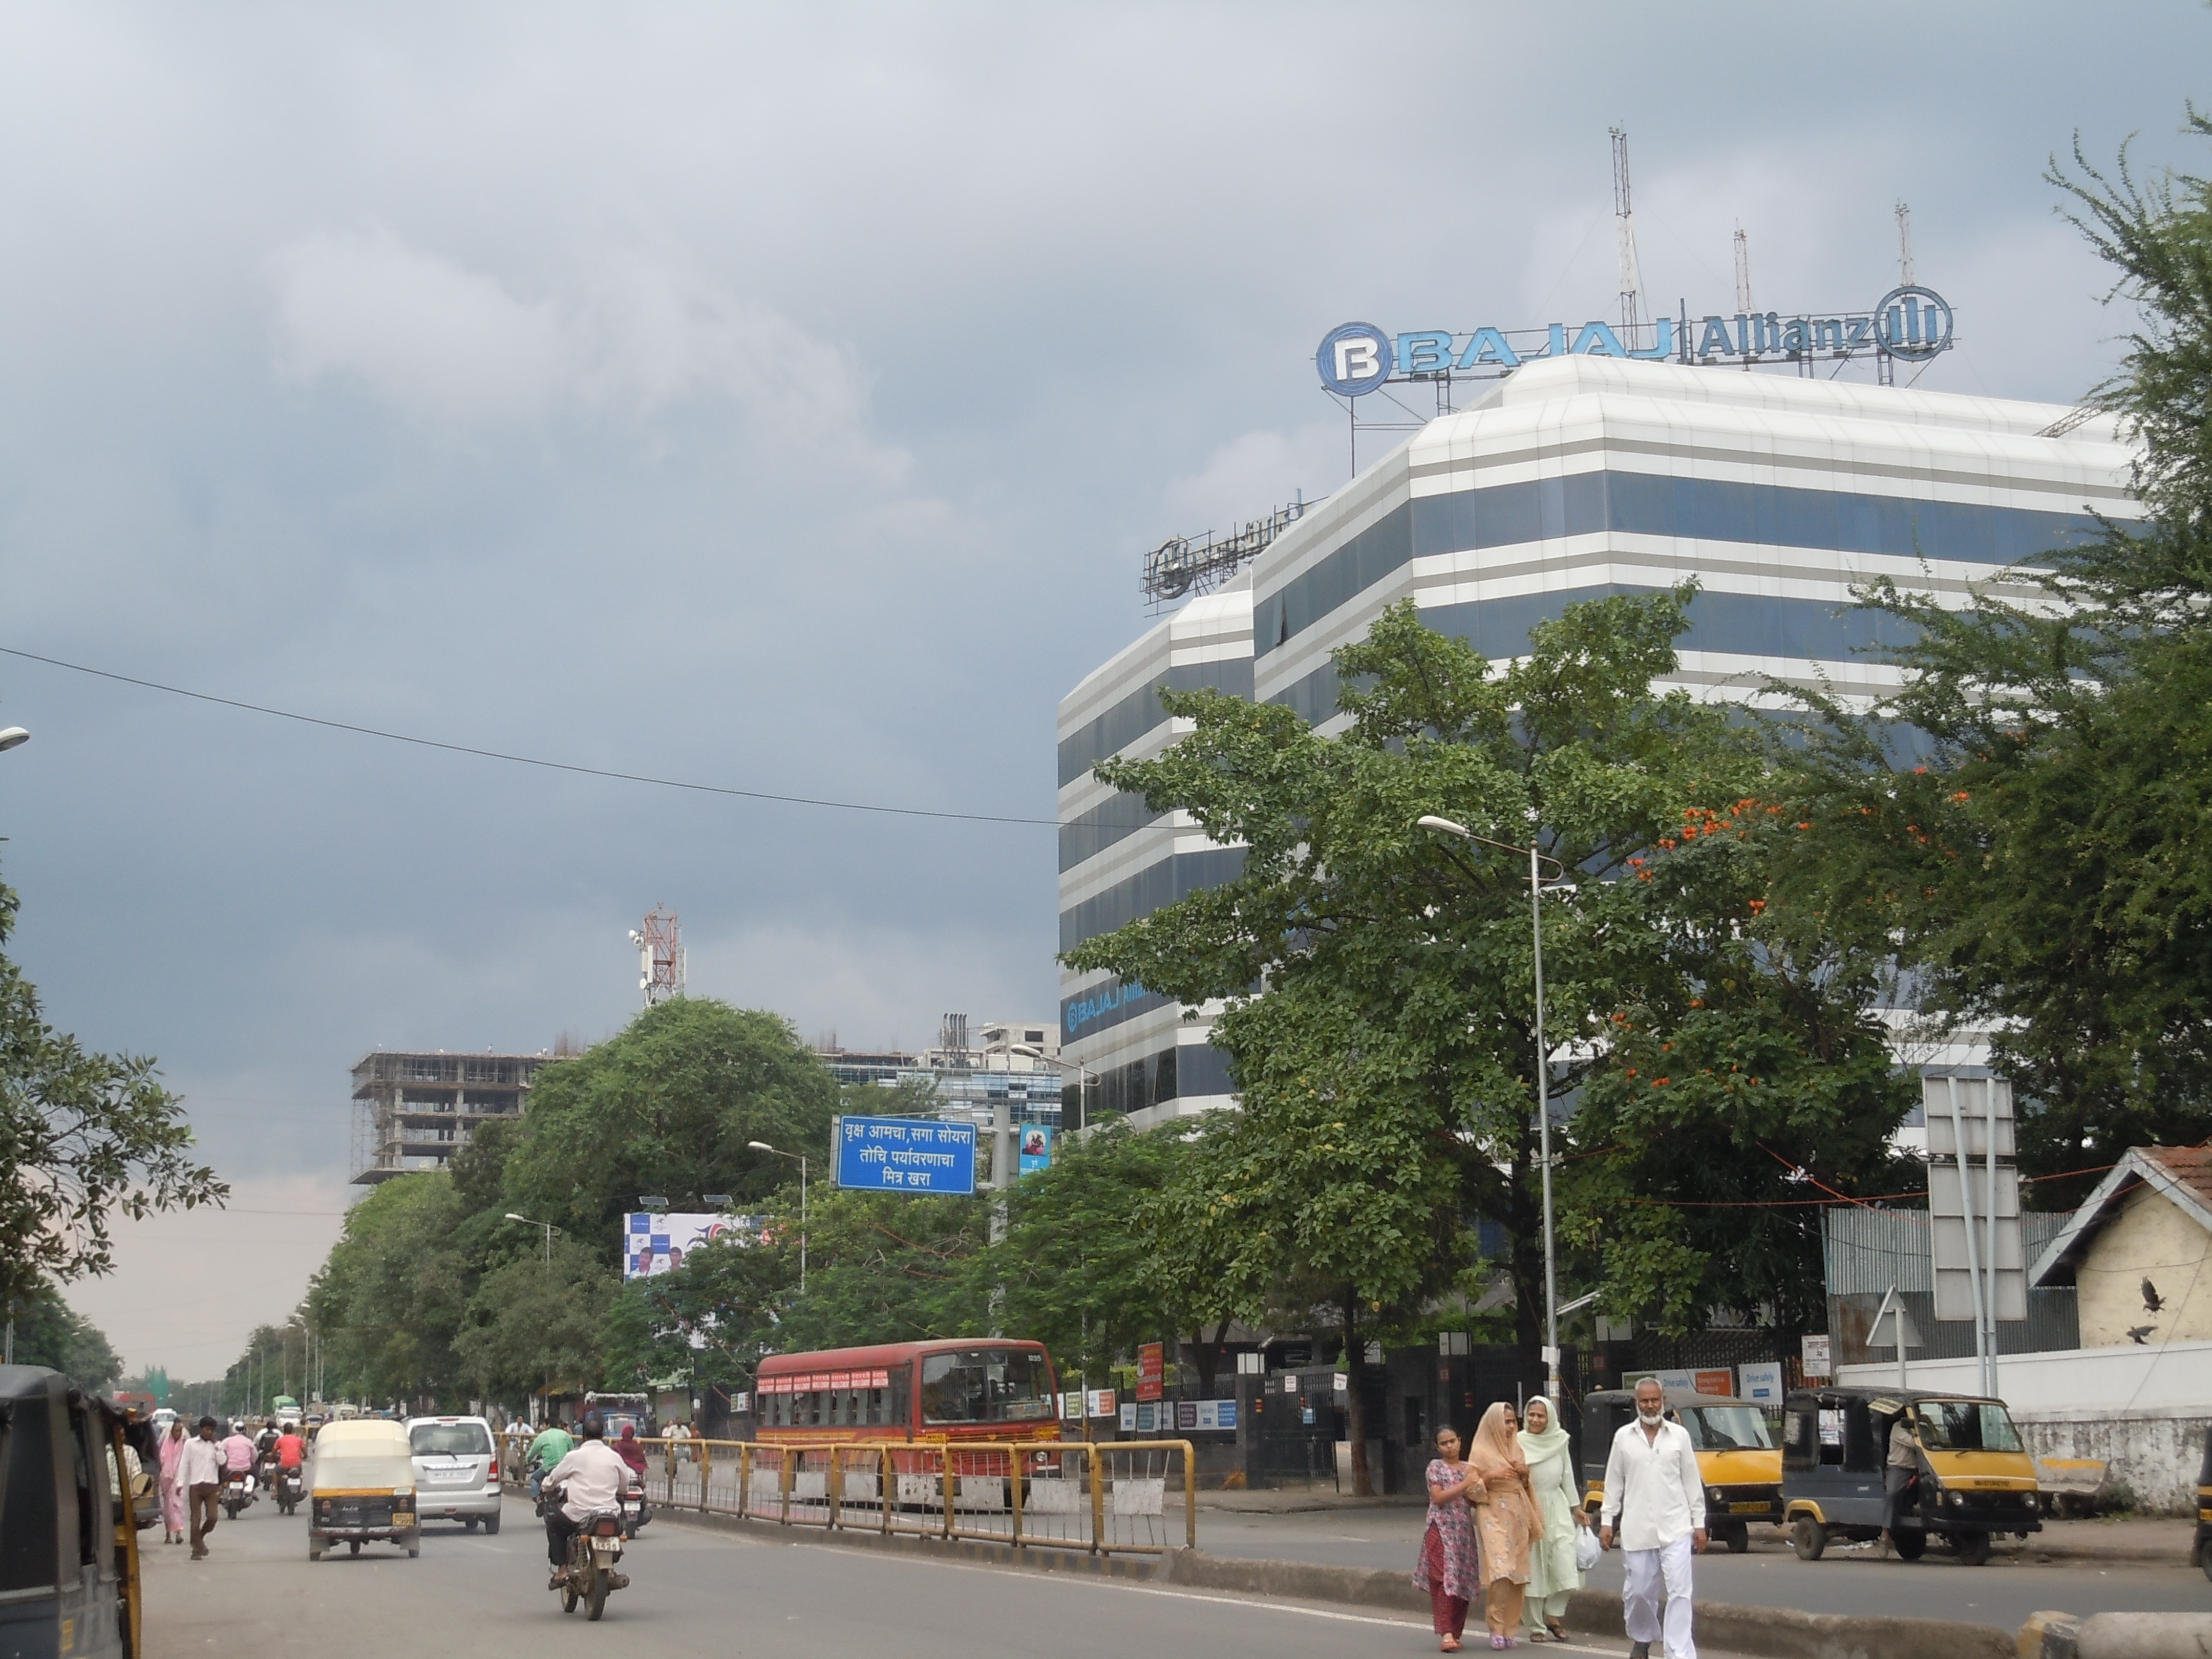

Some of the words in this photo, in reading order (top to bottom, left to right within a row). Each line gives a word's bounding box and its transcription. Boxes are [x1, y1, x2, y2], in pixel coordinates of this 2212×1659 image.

[1330, 332, 1384, 385] B
[1393, 324, 1521, 376] BA
[1628, 311, 1677, 362] J
[1691, 308, 1873, 360] Allianz
[1076, 983, 1122, 1026] BAJAJ
[841, 1118, 867, 1145] वृक्ष
[866, 1120, 913, 1146] आमचा,
[909, 1125, 934, 1143] सगा
[935, 1124, 972, 1147] सोयरा
[854, 1140, 889, 1166] तोचि
[890, 1145, 958, 1173] पर्यावरणाचा
[879, 1163, 905, 1187] मित्र
[904, 1168, 935, 1189] खरा